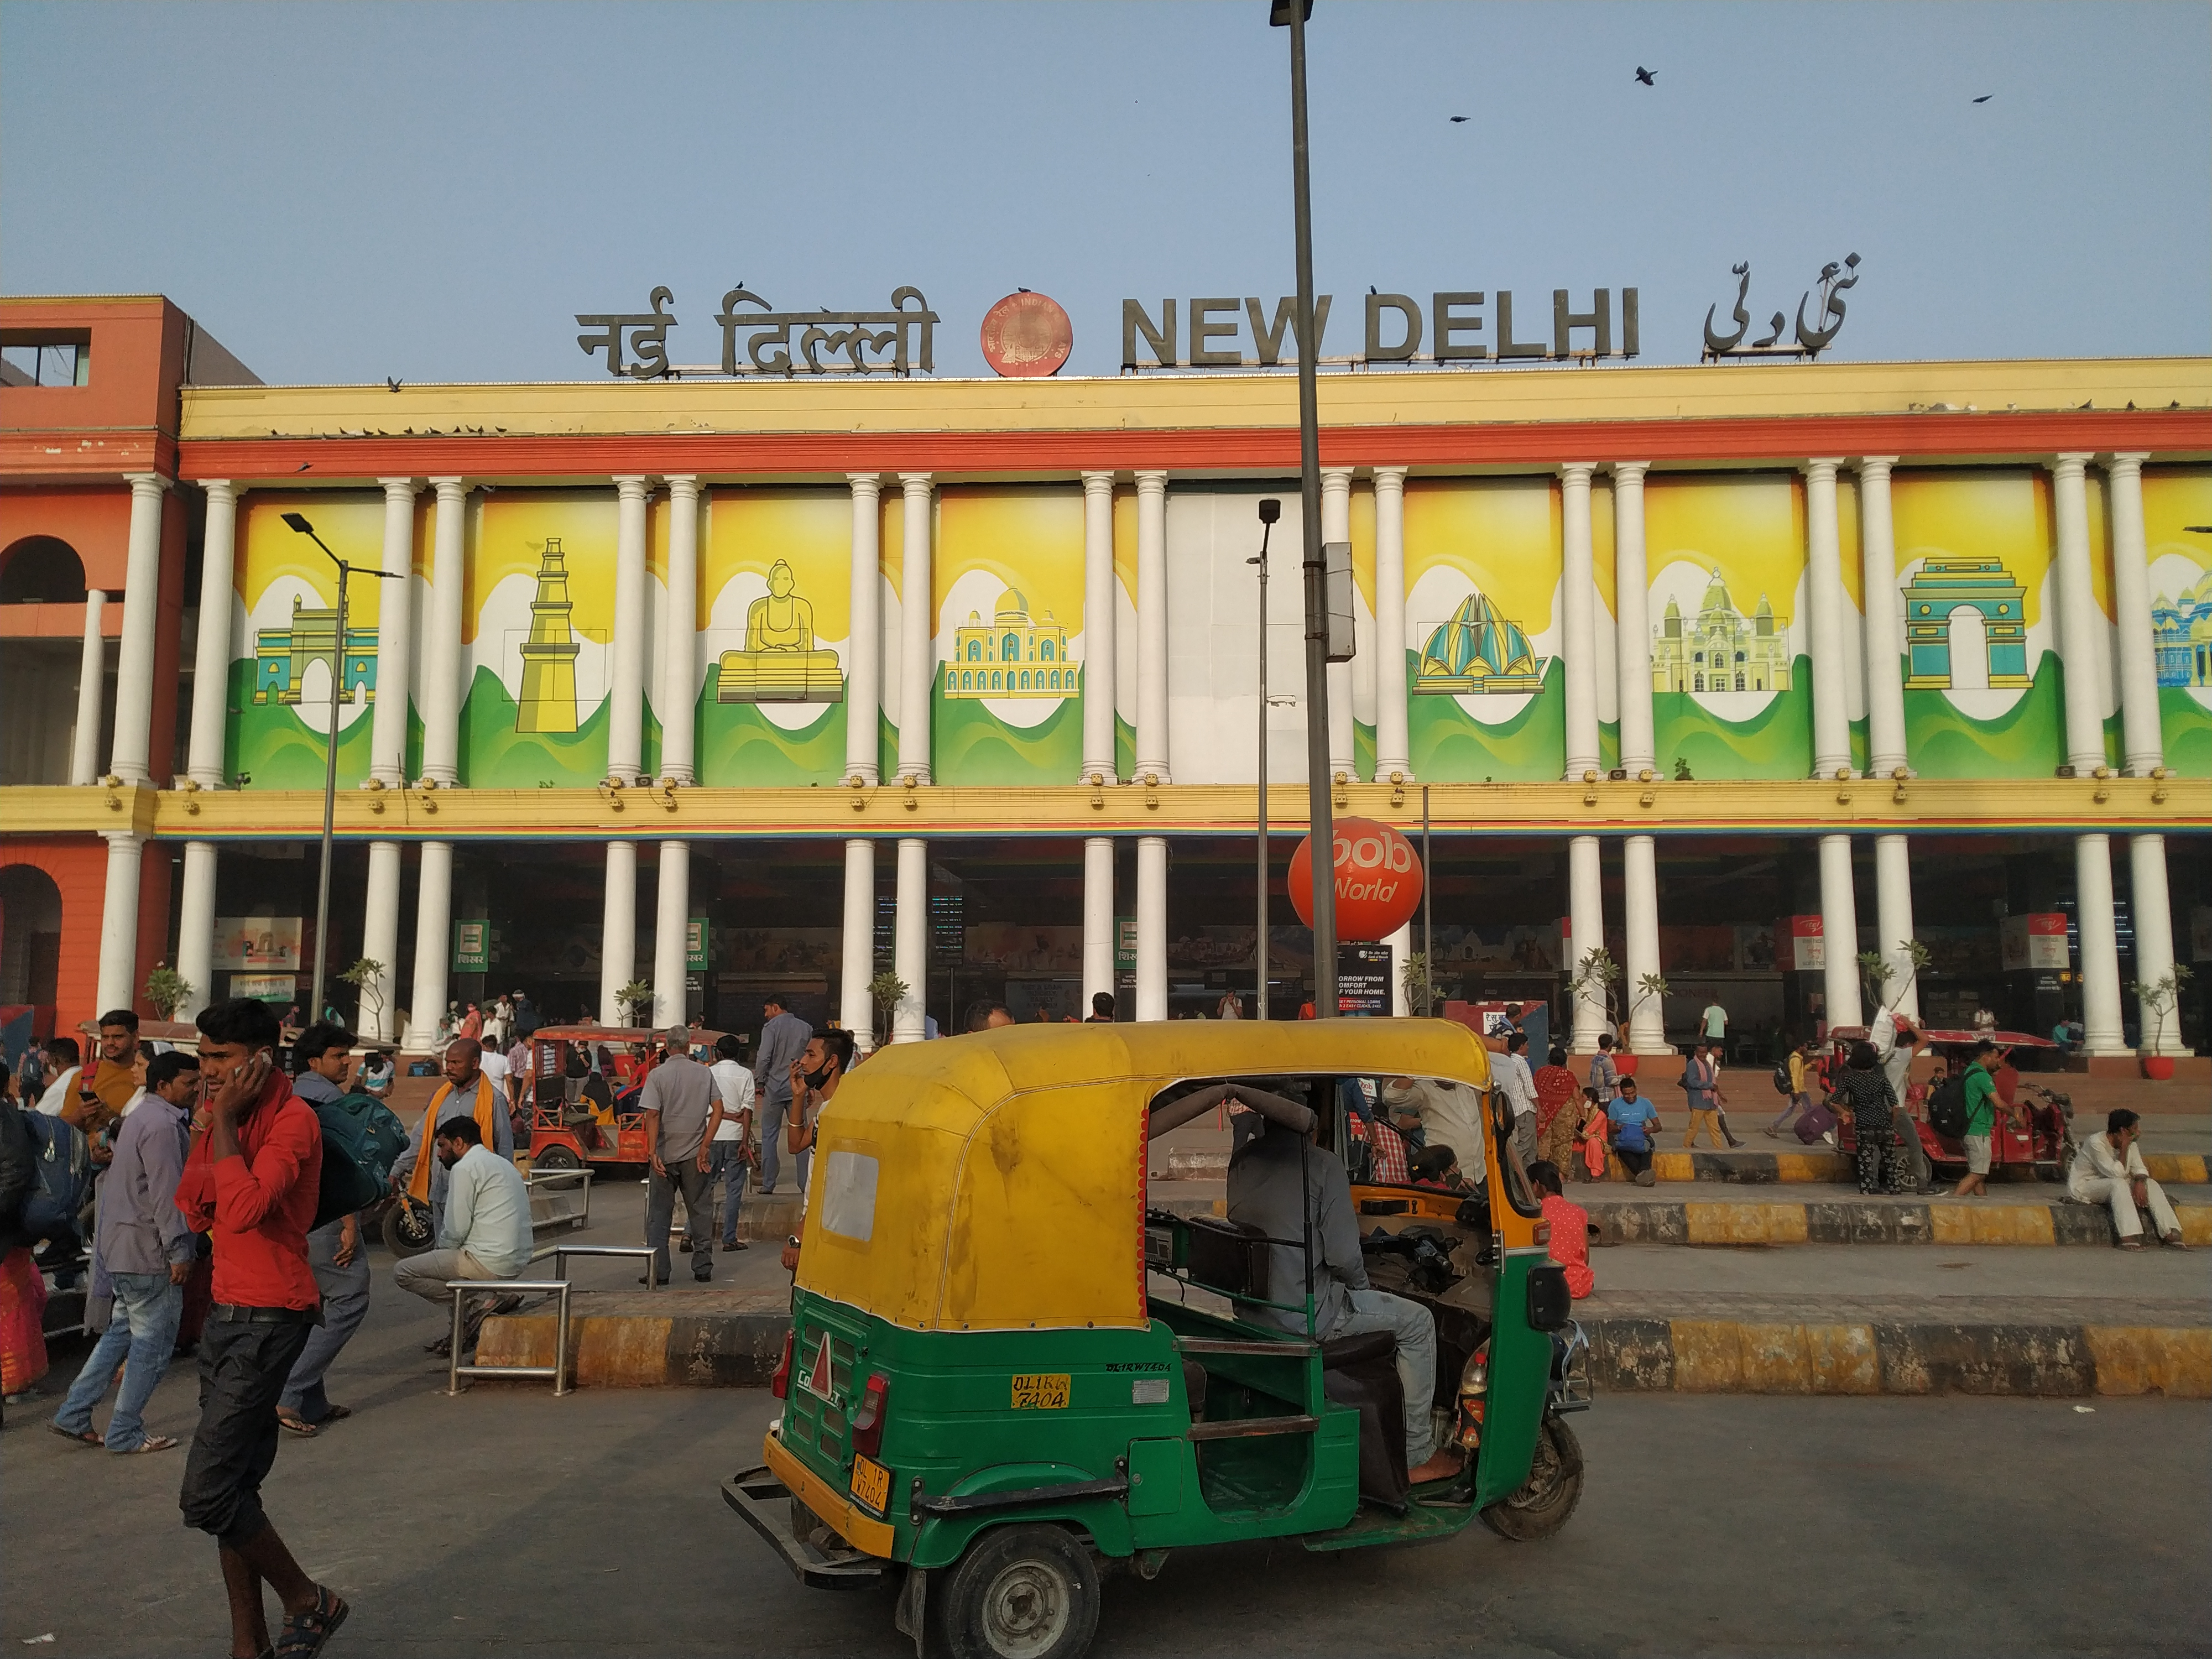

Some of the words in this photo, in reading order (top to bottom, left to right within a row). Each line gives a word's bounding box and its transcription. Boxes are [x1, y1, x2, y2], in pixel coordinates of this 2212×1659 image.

[572, 284, 680, 380] नई
[709, 279, 943, 380] दिल्ली
[1121, 293, 1334, 366] NEW
[1363, 281, 1640, 363] DELHI
[1332, 828, 1413, 875] bob
[1333, 875, 1401, 905] orld
[1337, 974, 1364, 982] ORROW
[1337, 981, 1369, 989] OMFORT
[1343, 988, 1364, 996] YOUR
[1362, 973, 1386, 984] FROM
[1362, 988, 1386, 997] HOME,